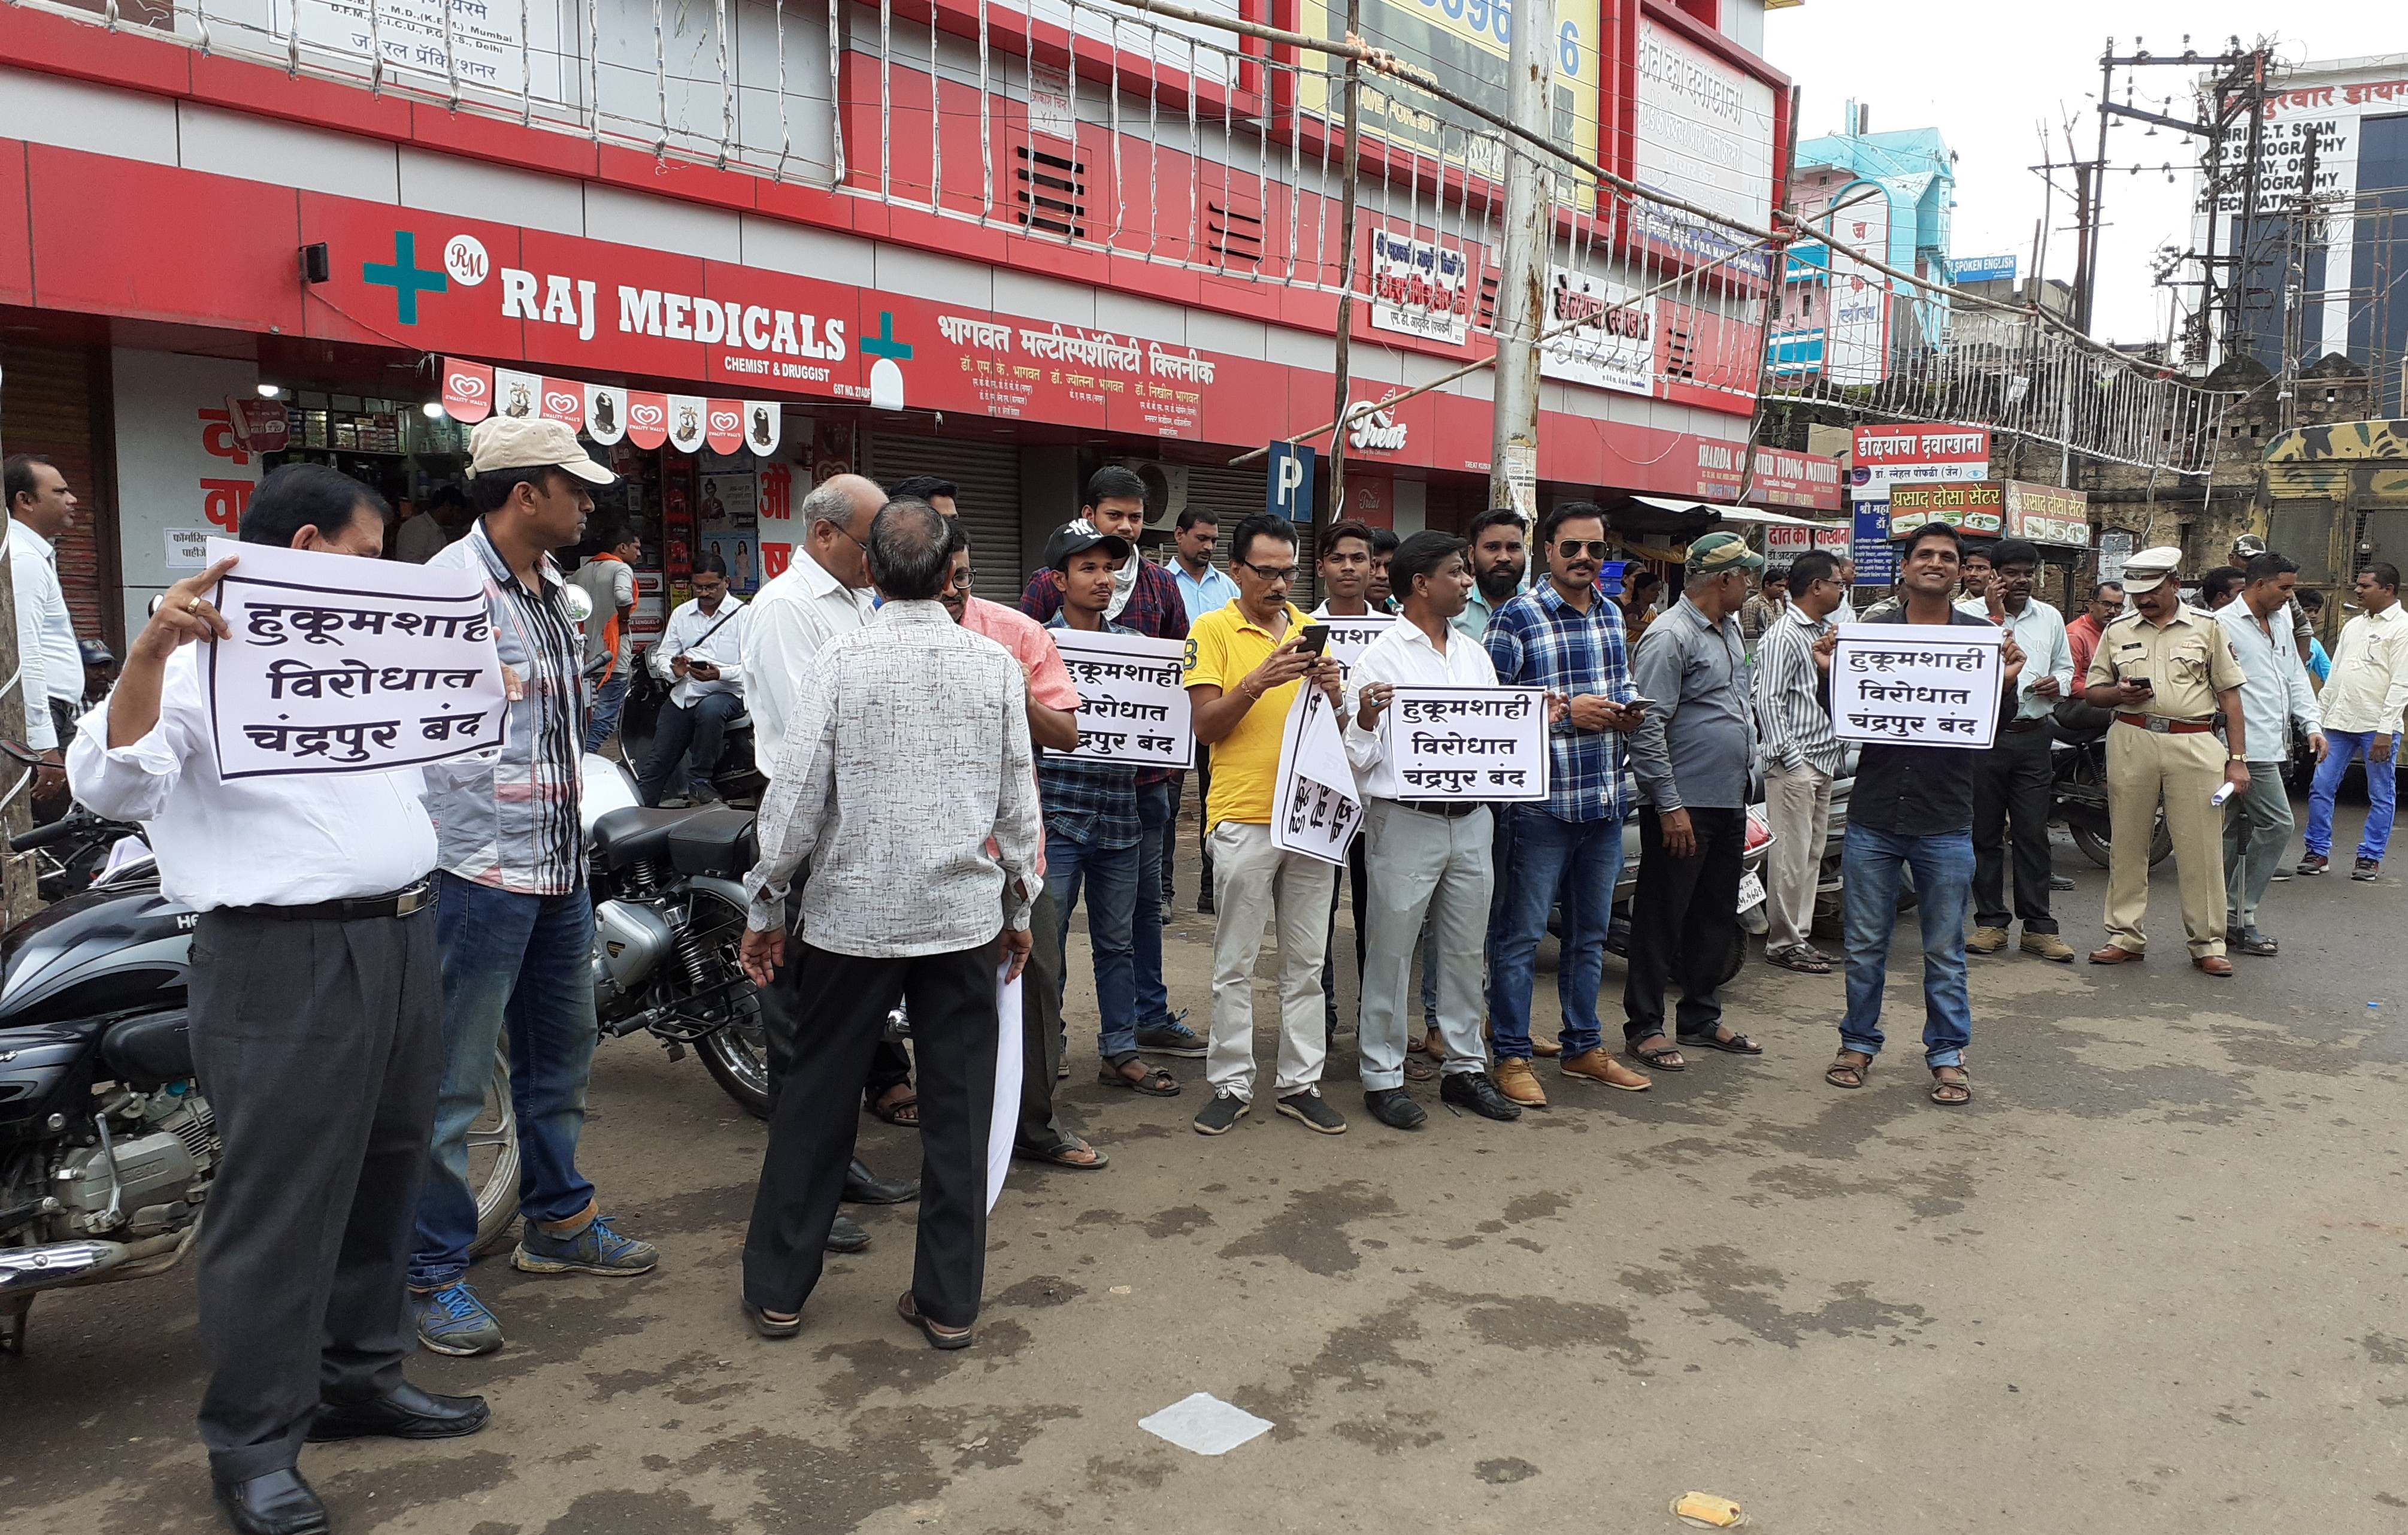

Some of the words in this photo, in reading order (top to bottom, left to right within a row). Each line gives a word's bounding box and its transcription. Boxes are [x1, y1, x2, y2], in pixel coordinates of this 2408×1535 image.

[383, 16, 421, 37] I.C.U.,
[387, 3, 465, 34] M.D., (Κ.Ε.M.)
[414, 41, 501, 81] प्रॅकिएशनर
[474, 39, 504, 57] Delhi
[470, 22, 515, 44] Mumbai
[1659, 46, 1691, 95] का
[1682, 55, 1744, 127] दवाखाना
[1653, 92, 1670, 136] के
[1661, 94, 1693, 149] फ्रॅक्चर
[1658, 147, 1699, 179] उपचार
[1685, 106, 1707, 158] और
[1701, 113, 1725, 165] ओरल
[1716, 128, 1745, 172] कॅत्सर
[1386, 236, 1419, 265] महाका
[1415, 244, 1438, 277] आयुवें
[1951, 253, 1986, 273] SPOKEN
[1980, 250, 2016, 274] ENGLISH
[496, 259, 602, 340] RAJ
[1552, 268, 1609, 334] डोळयांचा
[617, 282, 852, 364] MEDICALS
[720, 352, 770, 376] CHEMIST
[768, 358, 783, 378] &
[777, 361, 831, 385] DRUGGIST
[955, 351, 976, 374] डॉ.
[937, 312, 1013, 353] भागवत
[973, 358, 995, 377] एम.
[991, 355, 1014, 377] के.
[1010, 361, 1043, 383] भागवत
[1046, 364, 1064, 387] डॉ.
[1064, 367, 1097, 392] ज्योत्स्ना
[1019, 319, 1146, 377] मल्टीस्पेशॅलिटी
[1098, 376, 1126, 394] भागवत
[1132, 378, 1147, 399] डॉ.
[1146, 378, 1176, 404] निखील
[1144, 337, 1219, 387] क्लिनीक
[1174, 387, 1201, 406] भागवत
[1389, 308, 1413, 329] एम.डी.
[1407, 313, 1432, 336] आयुर्वेद
[1432, 319, 1452, 341] पचकर्म)
[1607, 301, 1651, 344] दवाखाना
[1343, 390, 1410, 455] Treat
[1697, 441, 1734, 475] SHARDA
[1774, 452, 1807, 482] TYPING
[1803, 458, 1841, 486] INSTITUTE
[1874, 464, 1888, 481] डॉ.
[1852, 423, 1921, 466] डोळ्यांचा
[1887, 463, 1912, 481] स्नेहल
[1911, 461, 1939, 480] पोफळी
[1940, 465, 1962, 480] (जैन)
[1918, 431, 1986, 460] दवाखाना
[1890, 486, 1934, 508] प्रसाद
[1929, 477, 1967, 510] दोसा
[1966, 480, 2003, 508] सेंटर
[2019, 487, 2049, 516] प्रसाद
[2043, 485, 2068, 517] दोसा
[2066, 489, 2089, 520] सेंटर
[1767, 520, 1795, 549] दात
[1792, 520, 1810, 545] का
[1762, 543, 1780, 564] डॉ.
[243, 590, 492, 651] हुकूमशाह
[1324, 626, 1379, 647] पशा
[1846, 641, 1990, 674] हुकूमशाही
[263, 648, 483, 703] विरोधात
[1064, 656, 1185, 692] हुकूमशाही
[243, 703, 402, 771] चंद्रपुर
[413, 685, 485, 746] बंद
[1076, 728, 1129, 757] द्रपुर
[1076, 689, 1170, 722] विरोधात
[1136, 724, 1177, 759] बंद
[1407, 730, 1521, 761] विरोधात
[1397, 689, 1538, 725] हुकूमशाही
[1848, 704, 1929, 739] चंद्रपुर
[1857, 678, 1971, 711] विरोधात
[1936, 711, 1977, 743] बंद
[1400, 760, 1484, 795] चंद्रपुर
[1486, 759, 1526, 790] बंद